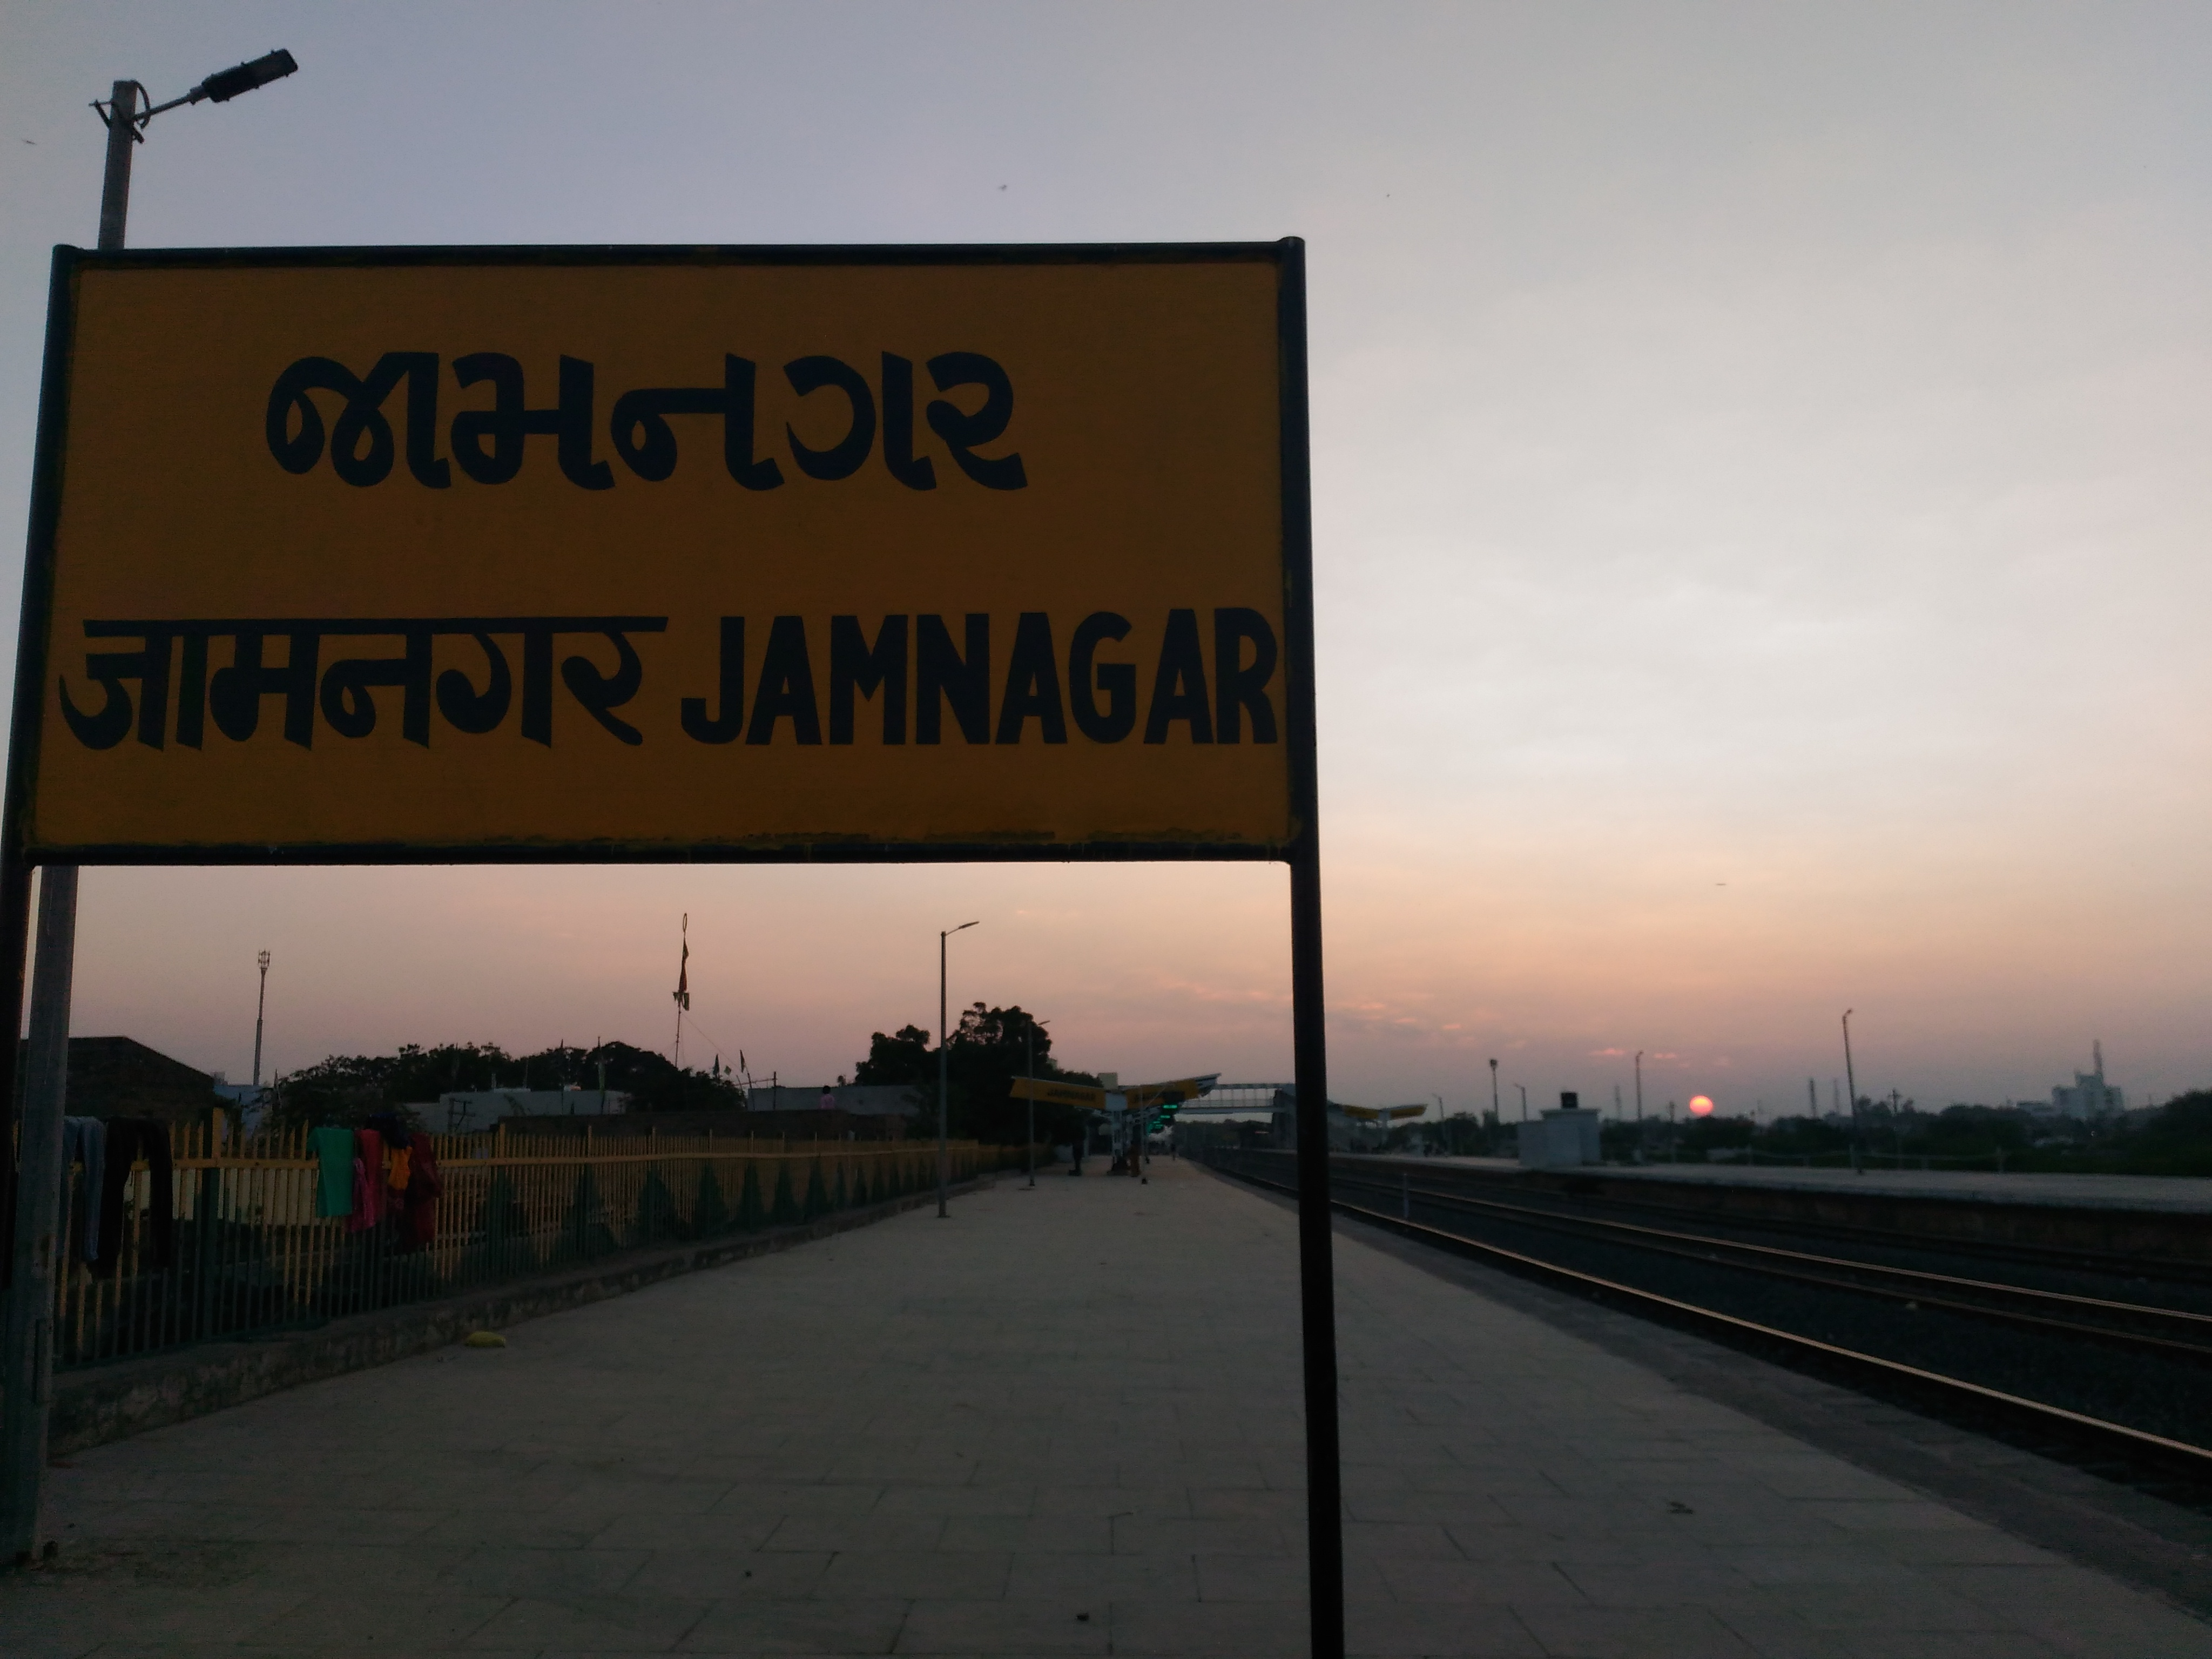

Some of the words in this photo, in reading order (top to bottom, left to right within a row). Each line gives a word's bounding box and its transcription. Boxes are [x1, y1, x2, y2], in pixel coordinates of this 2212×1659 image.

[251, 346, 1037, 501] જામનગર
[49, 611, 675, 759] जामनगर
[675, 603, 1286, 751] JAMNAGAR